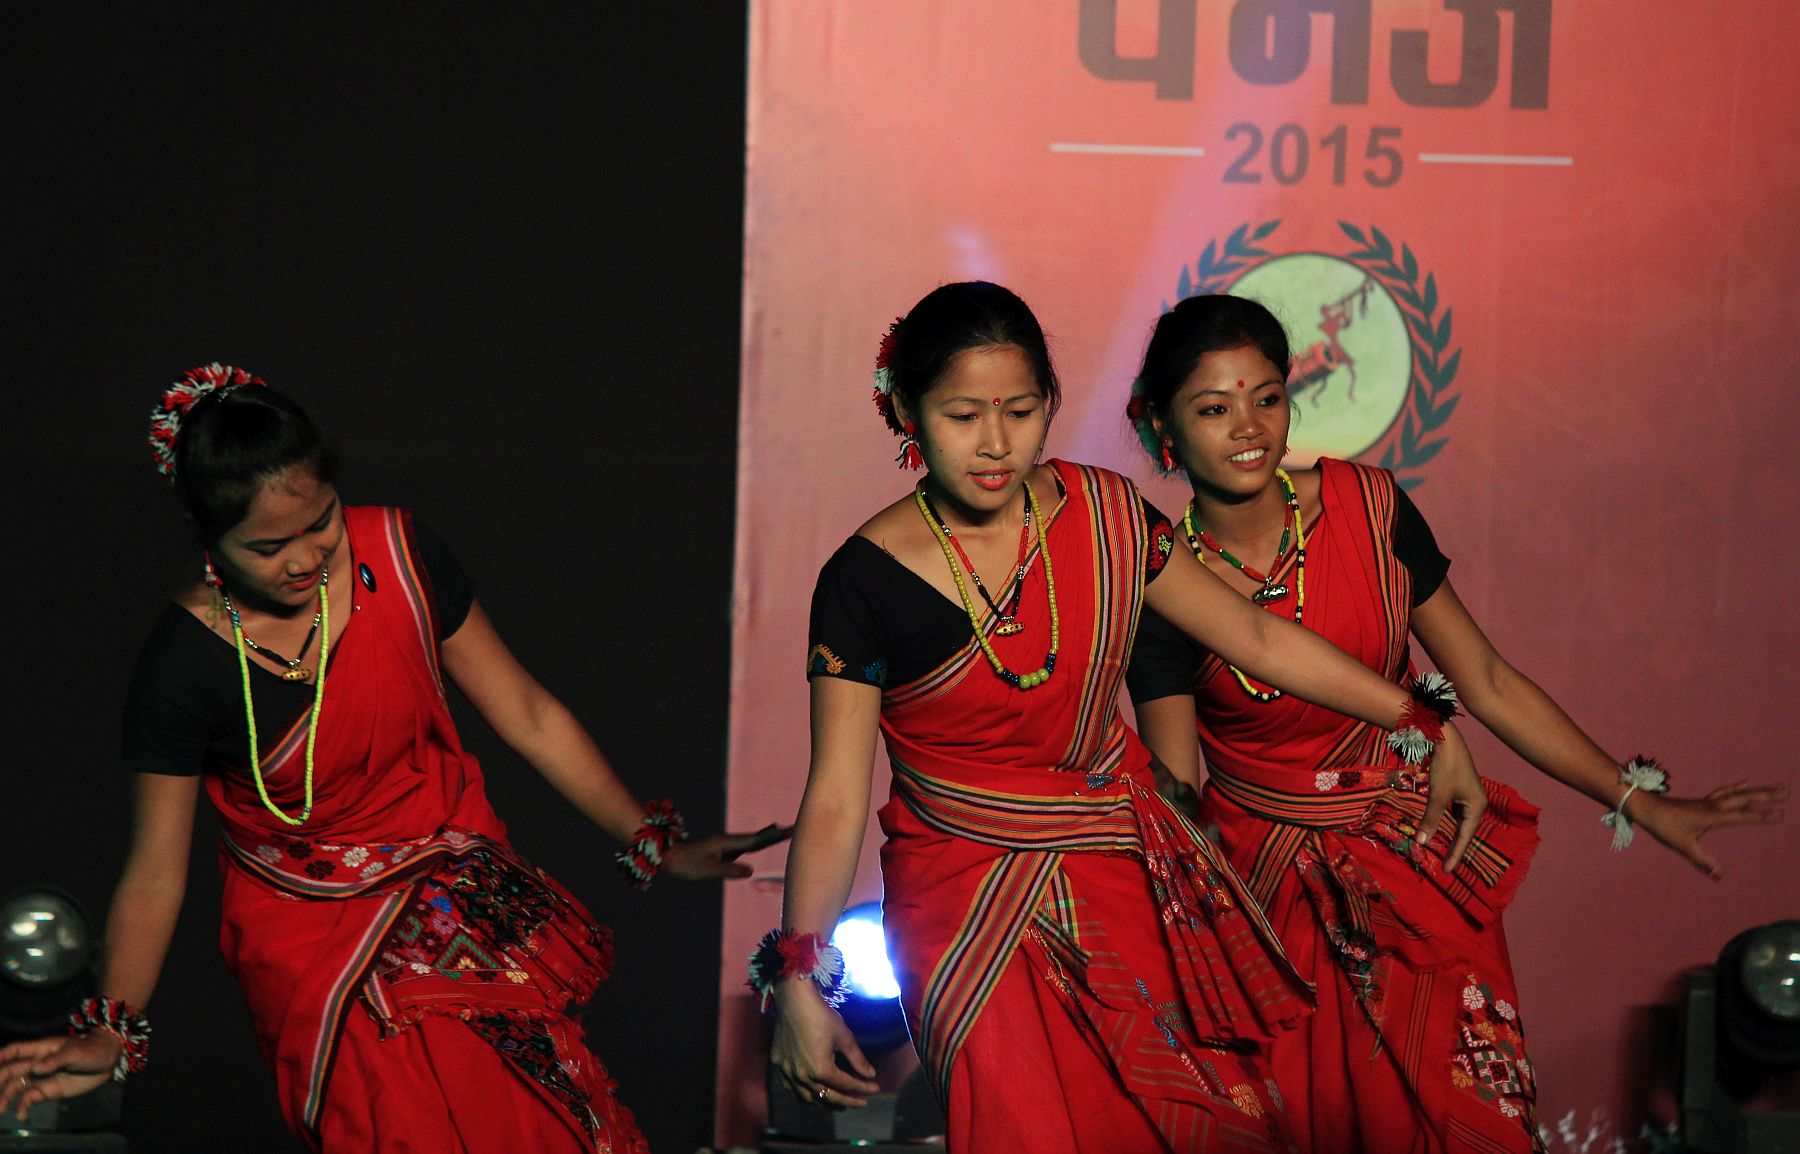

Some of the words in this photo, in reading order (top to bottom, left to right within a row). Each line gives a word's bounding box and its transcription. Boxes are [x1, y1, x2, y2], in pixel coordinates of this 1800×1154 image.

[1075, 1, 1554, 118] बणम
[1211, 114, 1408, 199] 2015